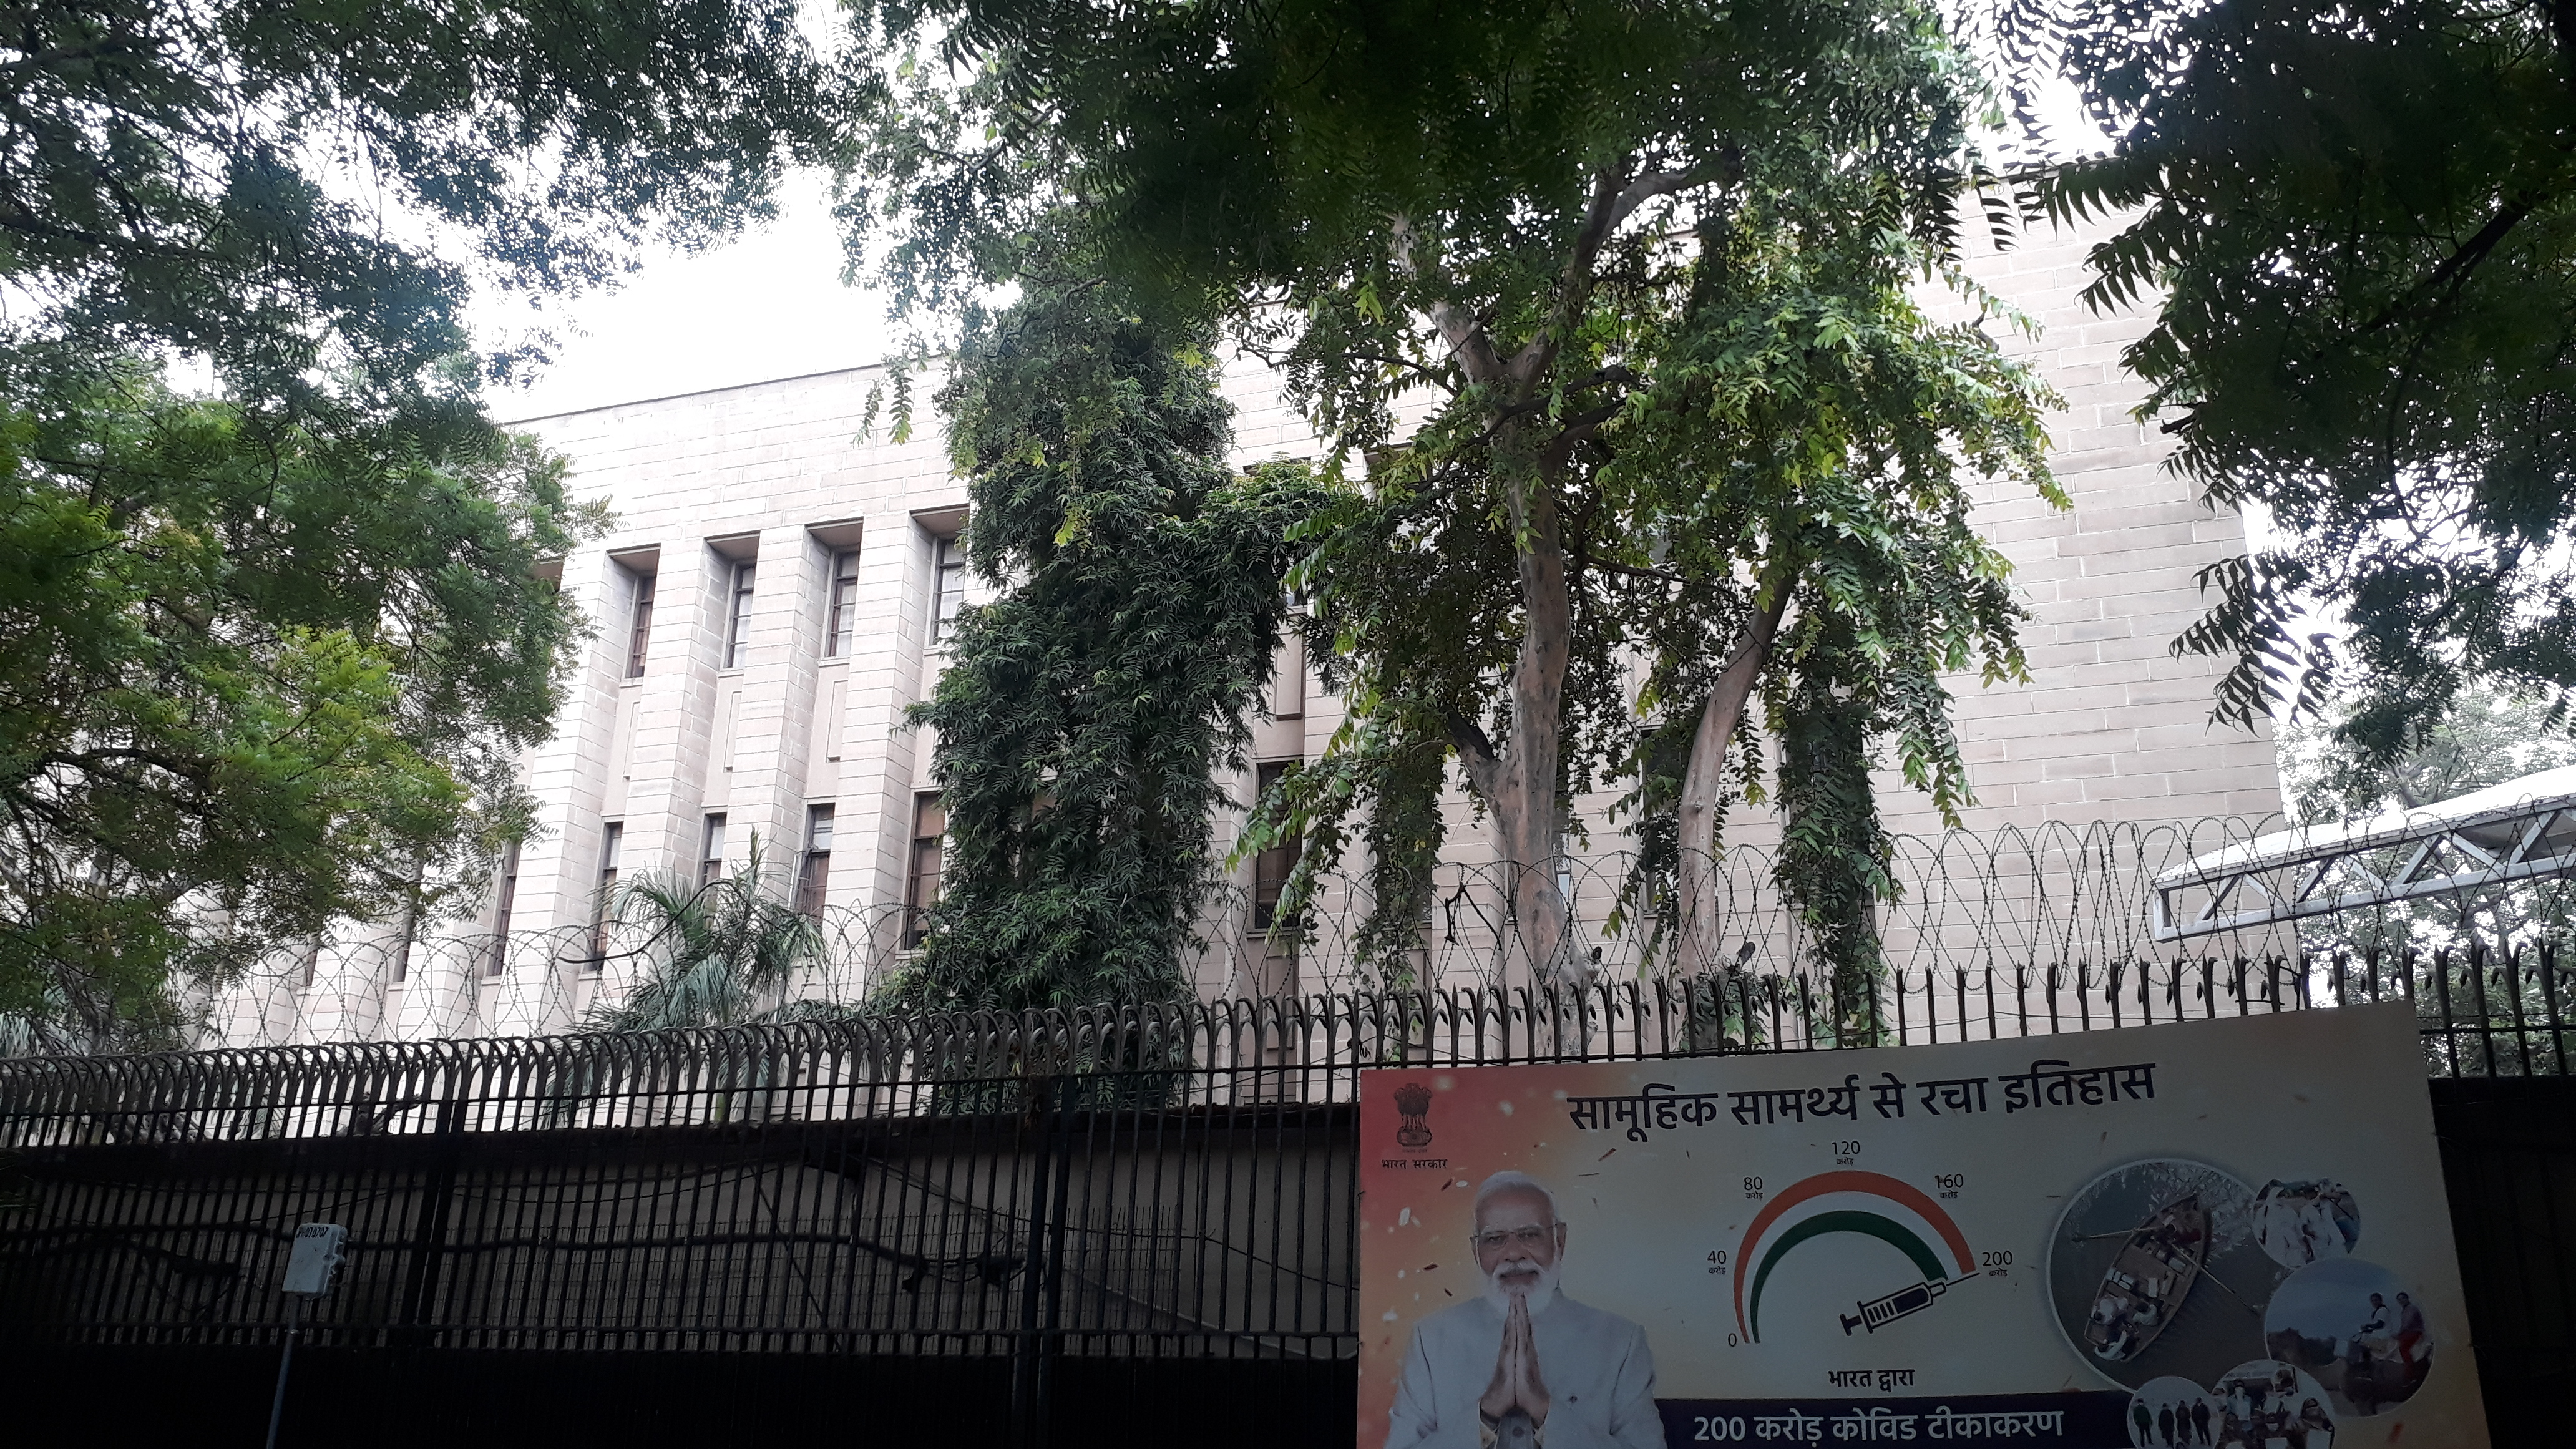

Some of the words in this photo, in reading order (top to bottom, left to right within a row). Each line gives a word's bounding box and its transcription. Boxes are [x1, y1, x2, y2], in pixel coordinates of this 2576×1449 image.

[1564, 1078, 1720, 1147] सामूहिक
[1725, 1070, 1861, 1128] सामर्थ्य
[1867, 1067, 1913, 1124] सेे
[1913, 1067, 1995, 1118] रचा
[1998, 1057, 2157, 1118] इतिहास
[1380, 1158, 1409, 1173] भारत
[1411, 1158, 1450, 1173] सरकार
[1828, 1139, 1863, 1169] 120 करोड़
[1742, 1174, 1765, 1204] 80 करोड़
[1934, 1172, 1966, 1202] 160 करोड़
[1705, 1246, 1729, 1278] 40 करोड़
[1979, 1248, 2016, 1267] 200
[1988, 1264, 2010, 1281] करोड़
[1828, 1368, 1873, 1388] भारत
[1875, 1365, 1916, 1395] द्वारा
[1693, 1413, 1749, 1445] 200
[1751, 1404, 1825, 1448] करोड़
[1829, 1403, 1919, 1445] कोविड
[1923, 1403, 2066, 1442] टीकाकरण